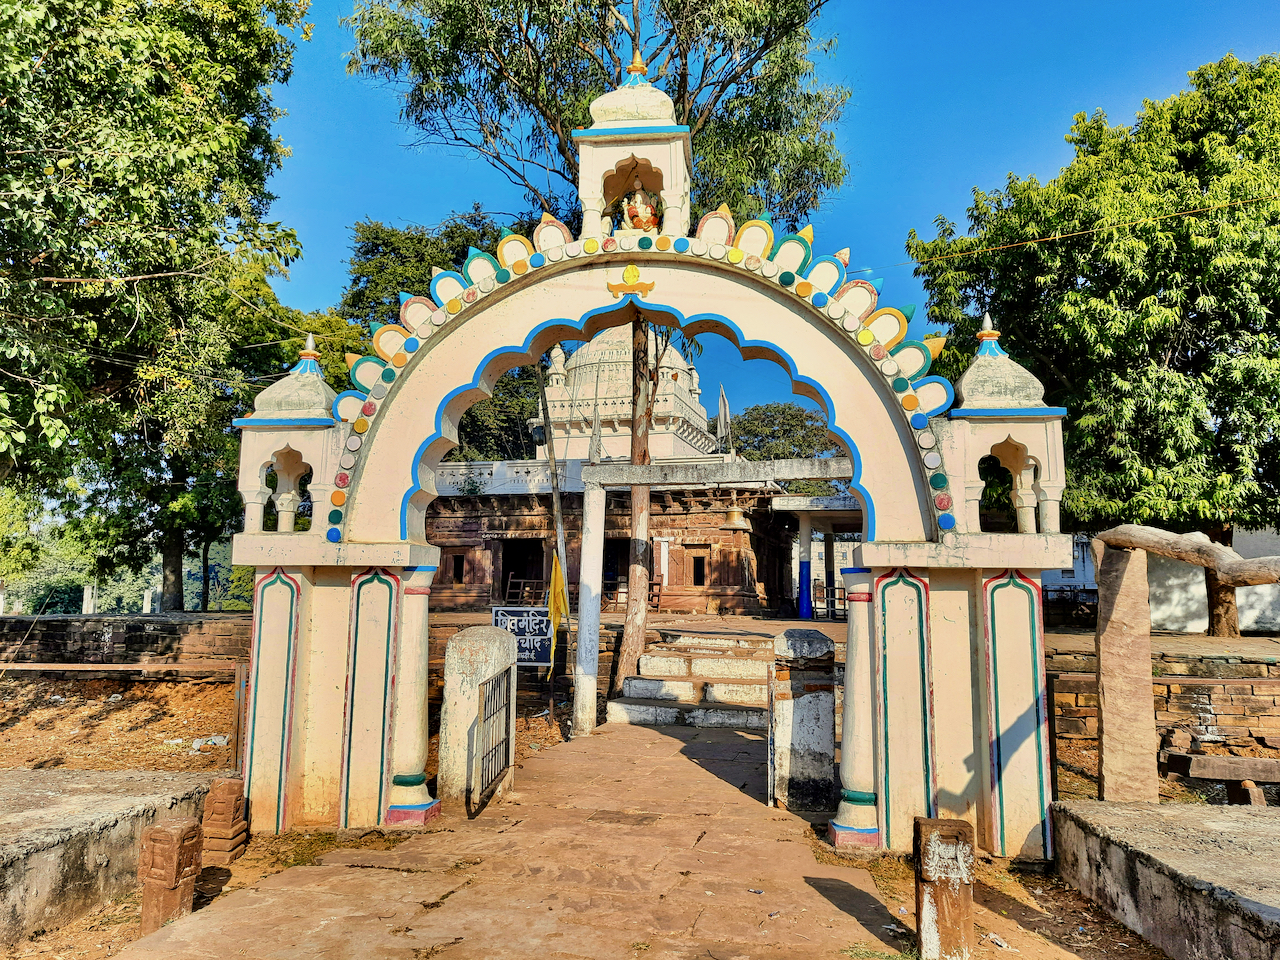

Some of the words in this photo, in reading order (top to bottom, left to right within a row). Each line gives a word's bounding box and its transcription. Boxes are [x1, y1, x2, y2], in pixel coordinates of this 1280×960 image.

[494, 605, 550, 635] शिवमंदिर